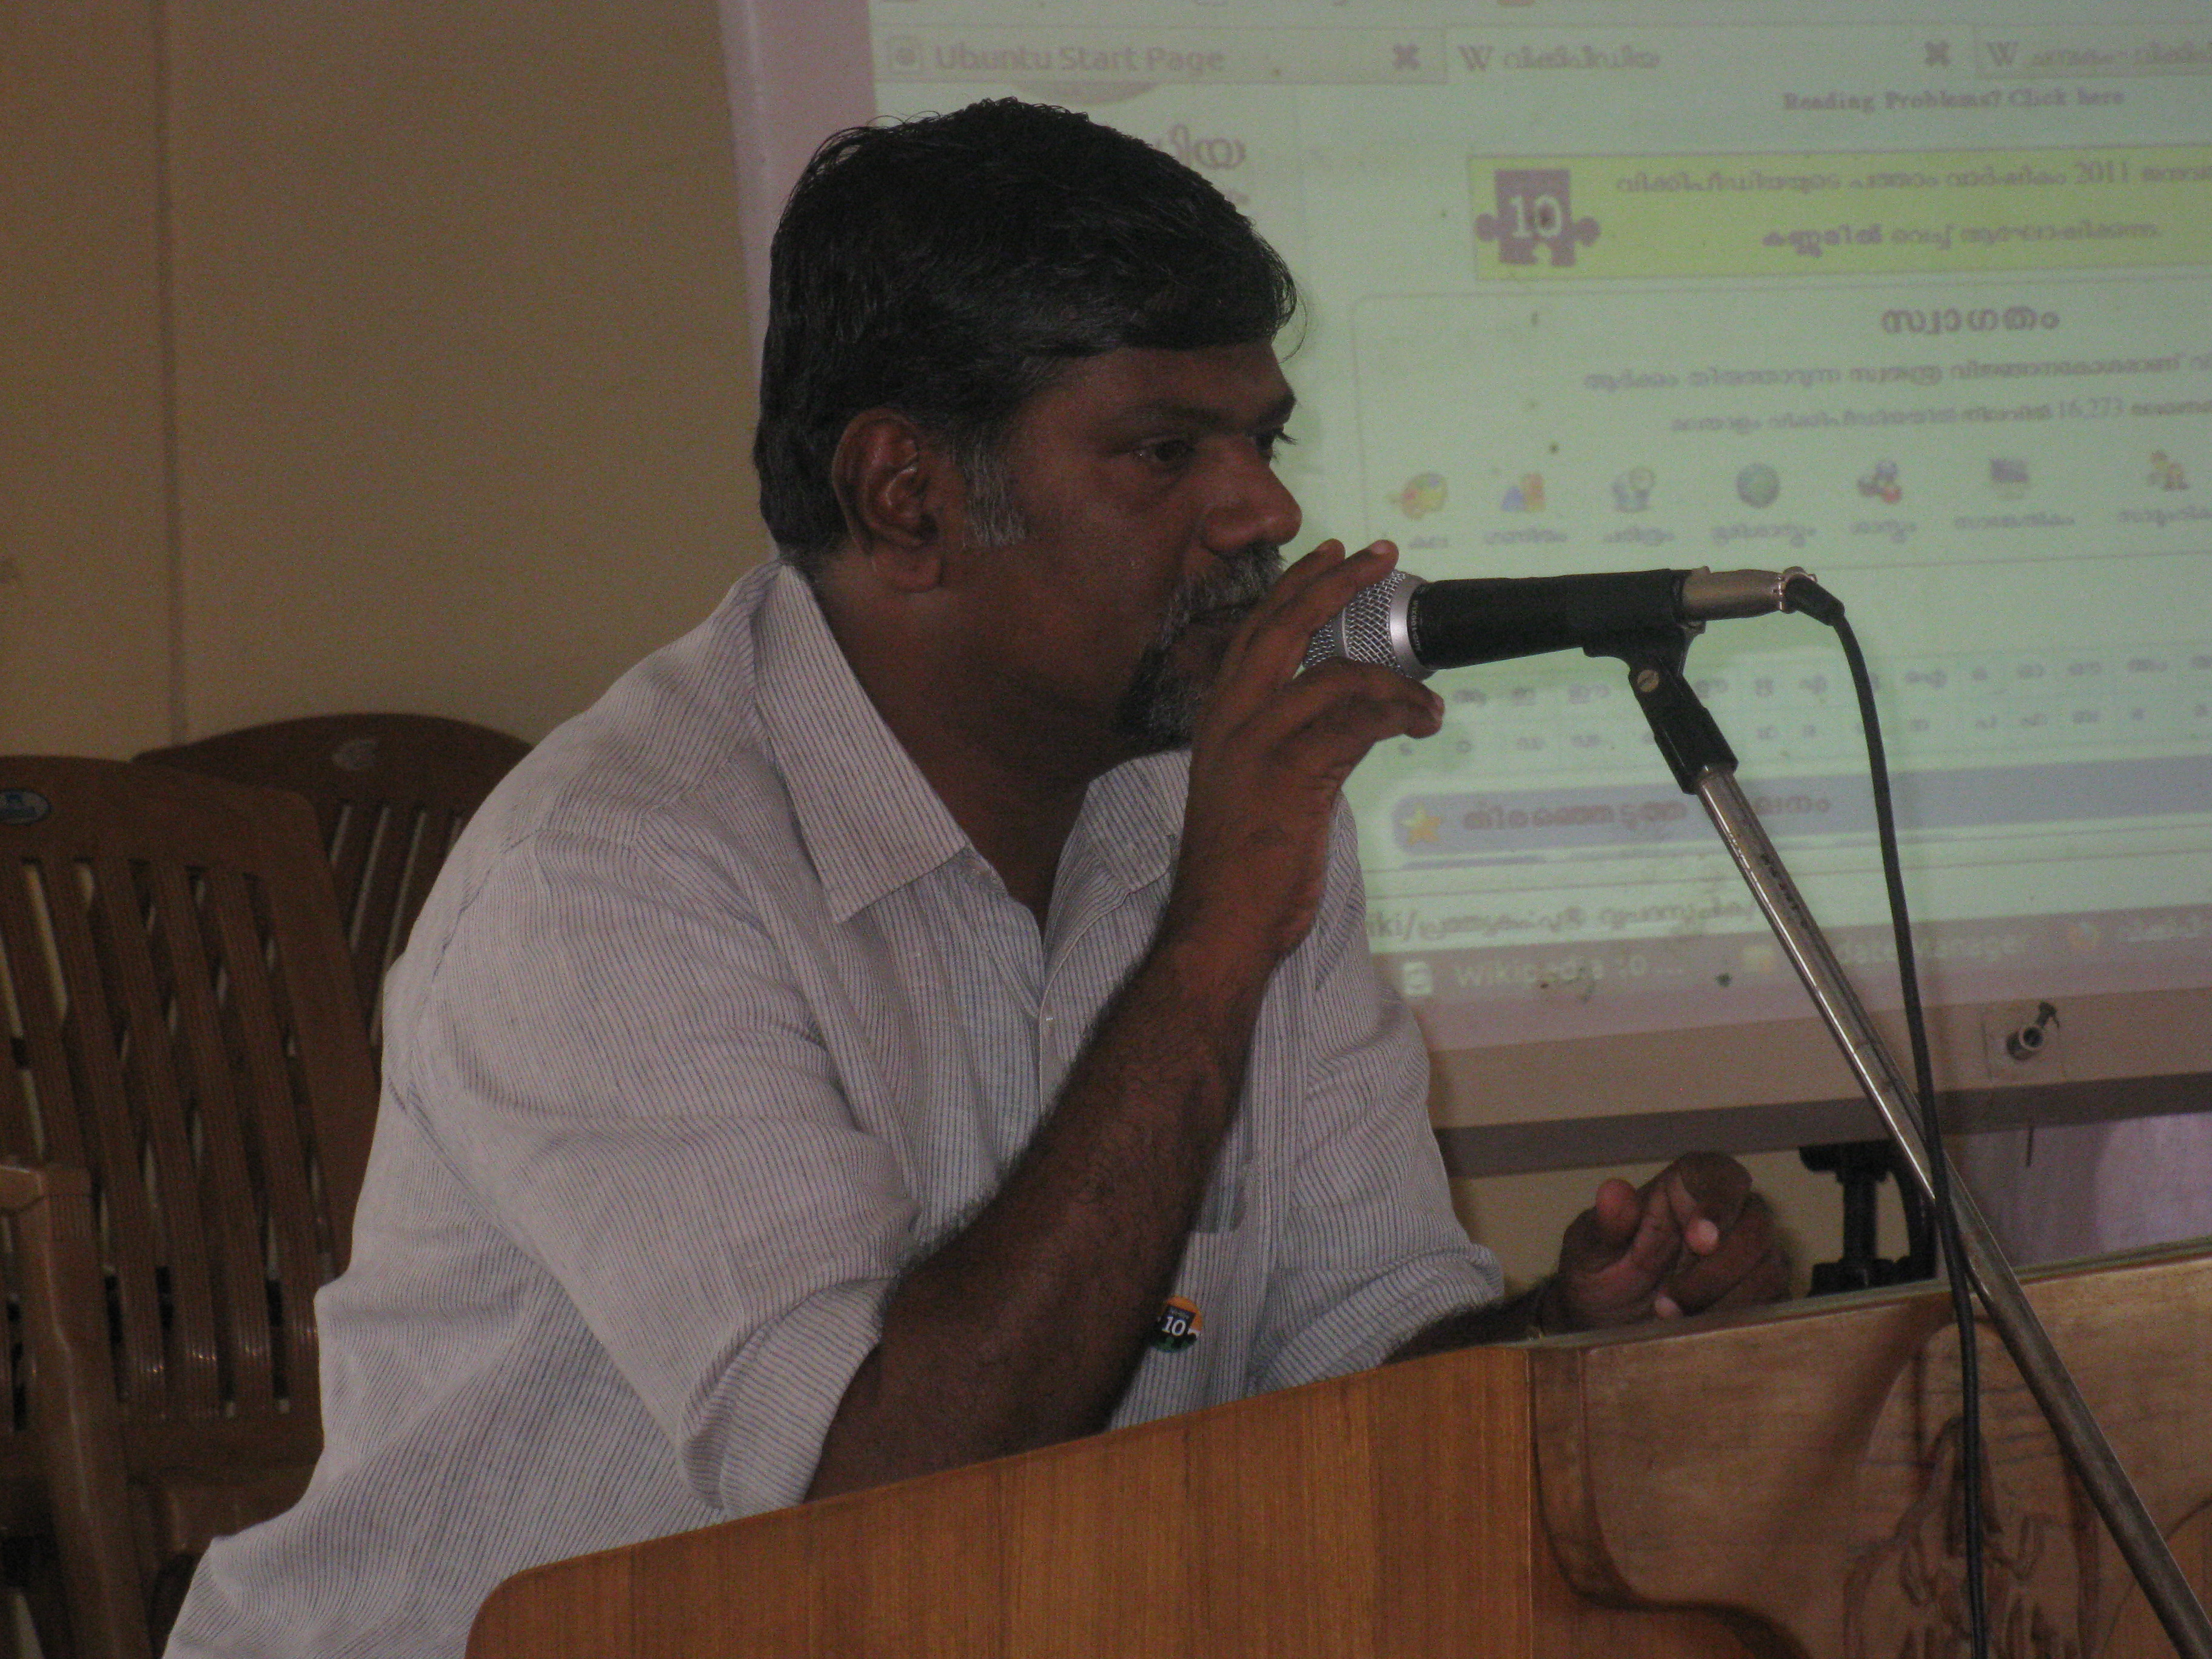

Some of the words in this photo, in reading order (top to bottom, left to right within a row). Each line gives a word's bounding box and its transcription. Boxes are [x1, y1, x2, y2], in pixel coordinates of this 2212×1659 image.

[1780, 82, 1879, 116] Reading
[2002, 82, 2069, 110] Click
[2067, 158, 2134, 188] 2011
[1758, 218, 1883, 261] കണ്ണൂരിൽ
[1877, 300, 2063, 341] സ്വാഗതം
[1452, 797, 1623, 831] തിര‍ഞ്ഞെ
[1748, 785, 1834, 820] ലനം
[1450, 950, 1614, 989] wikipedia